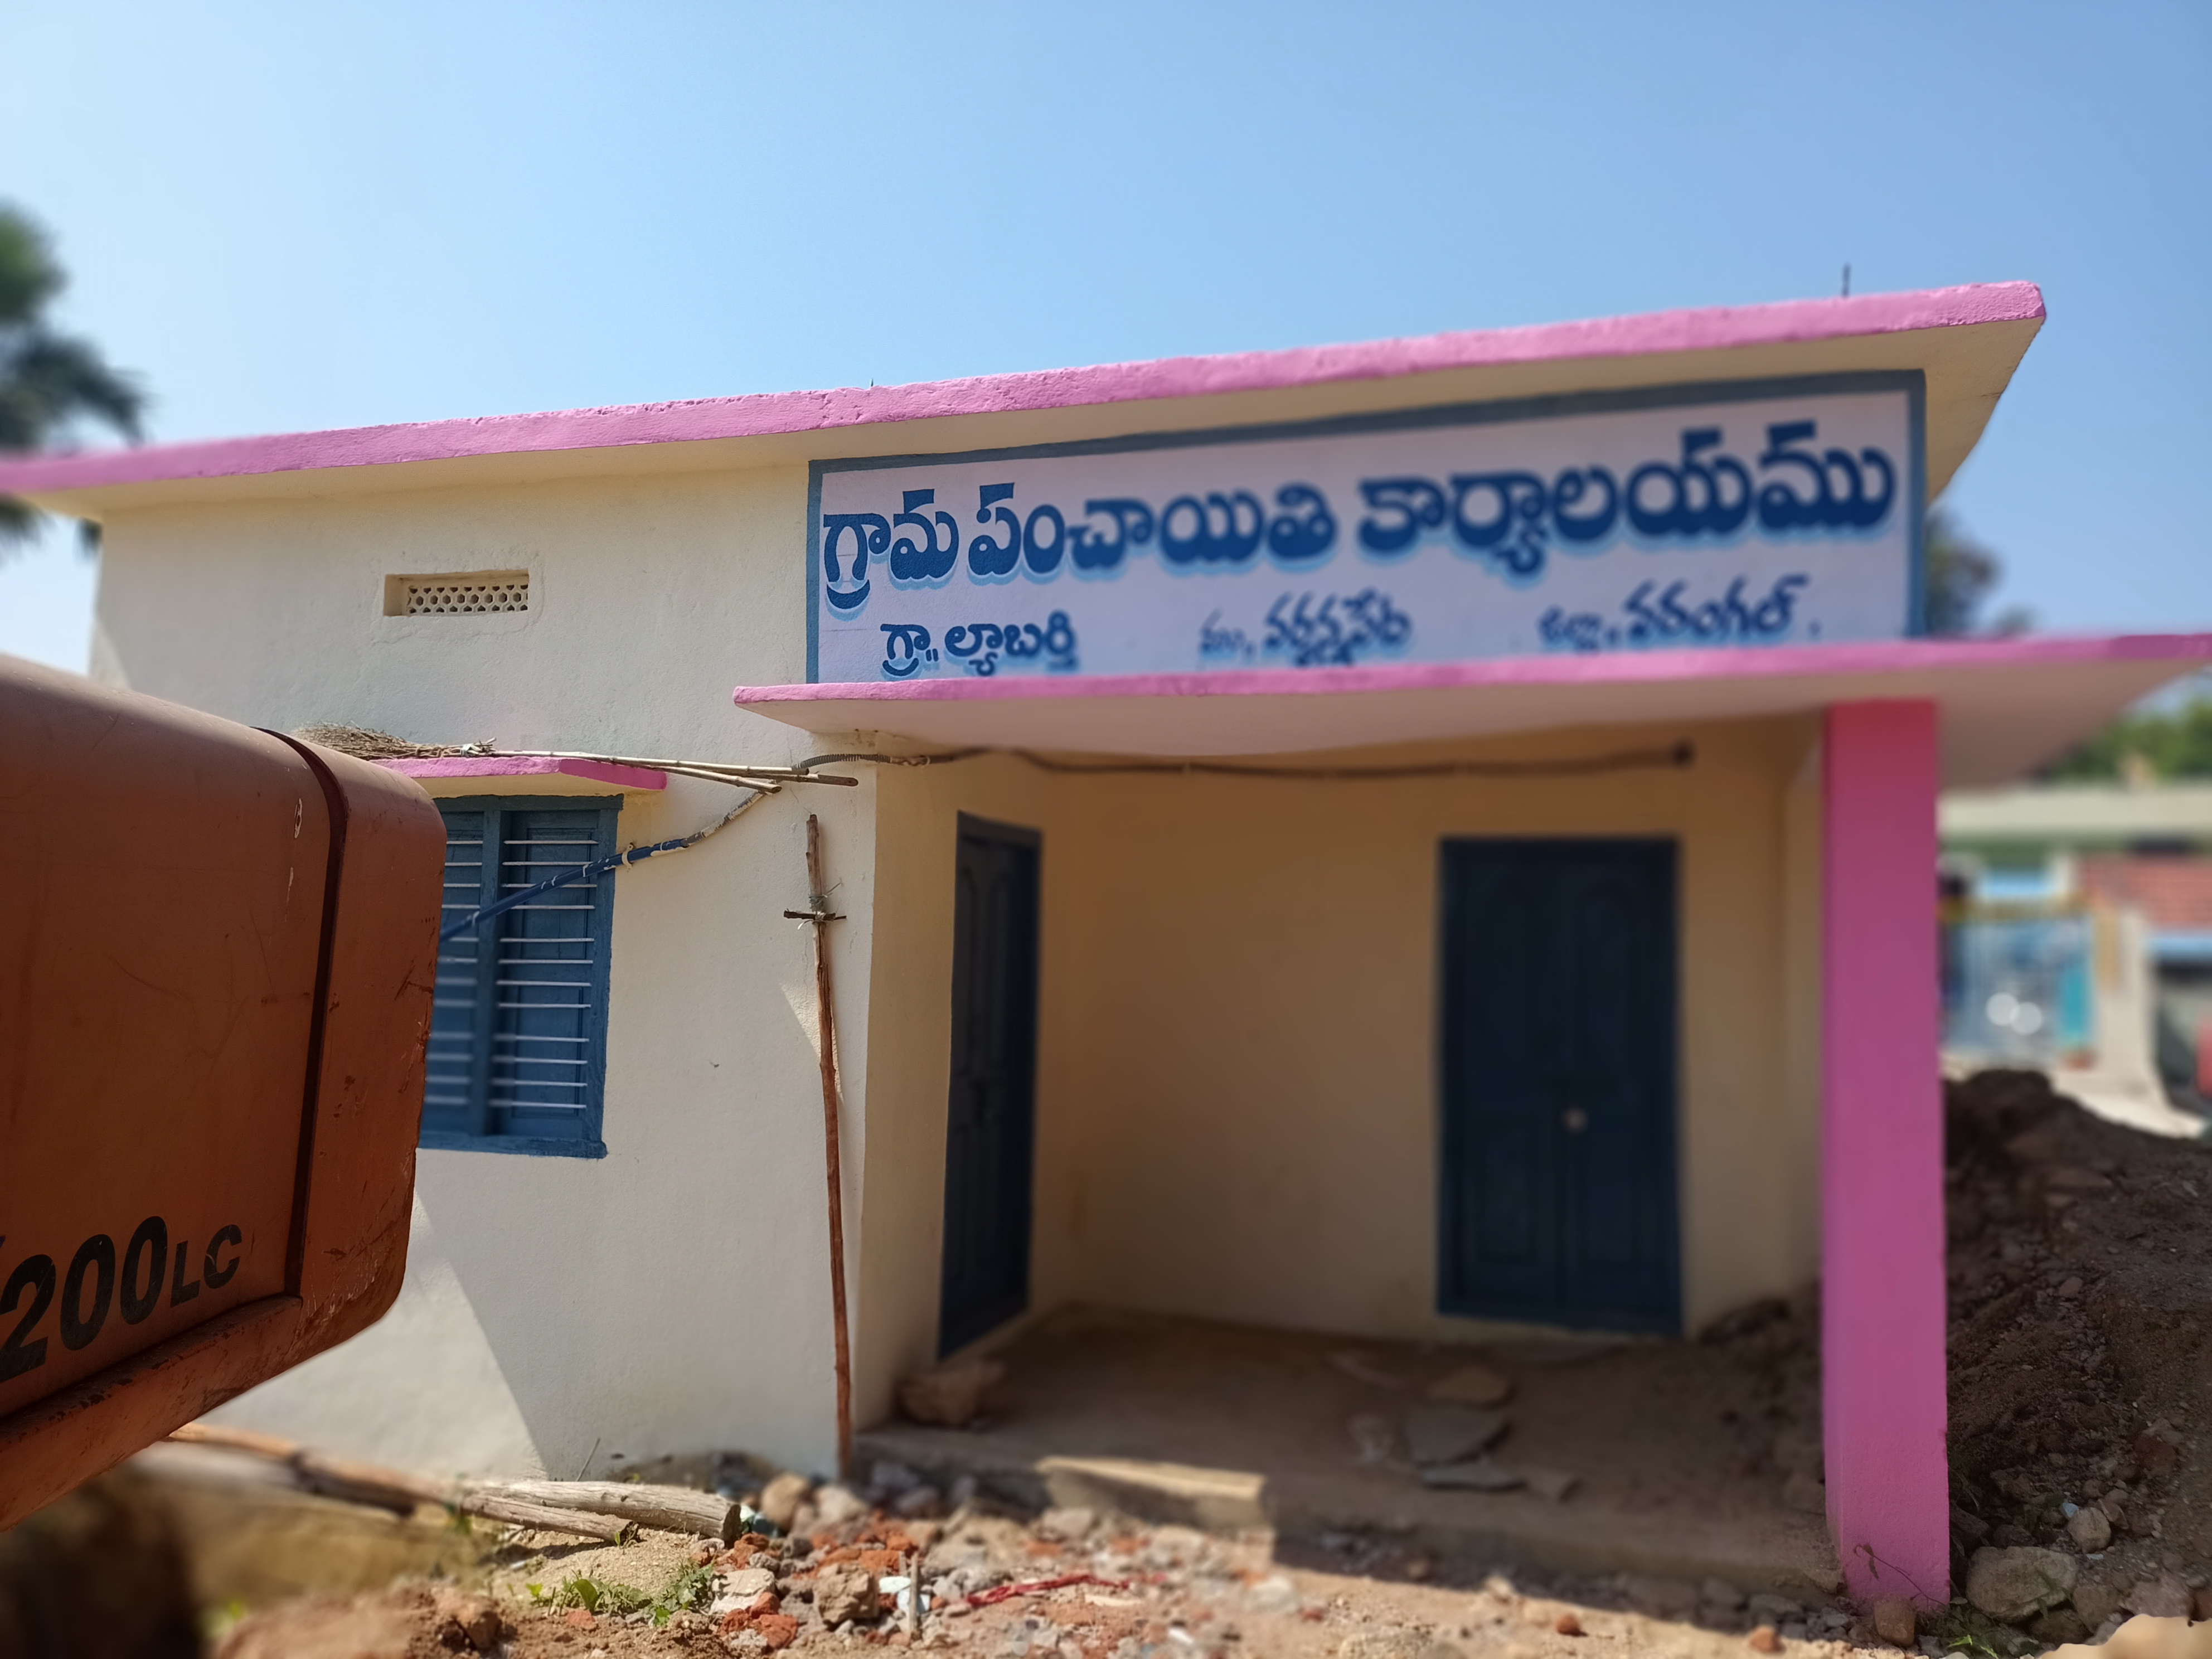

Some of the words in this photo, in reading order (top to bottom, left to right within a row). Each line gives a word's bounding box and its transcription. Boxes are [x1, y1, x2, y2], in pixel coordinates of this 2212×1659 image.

[818, 476, 1343, 615] గ్రామ పంచాయితి
[1352, 411, 1903, 587] కార్యలయము
[876, 603, 1085, 685] గ్రా|| ల్యాబర్తి
[7, 1212, 254, 1386] 200LC